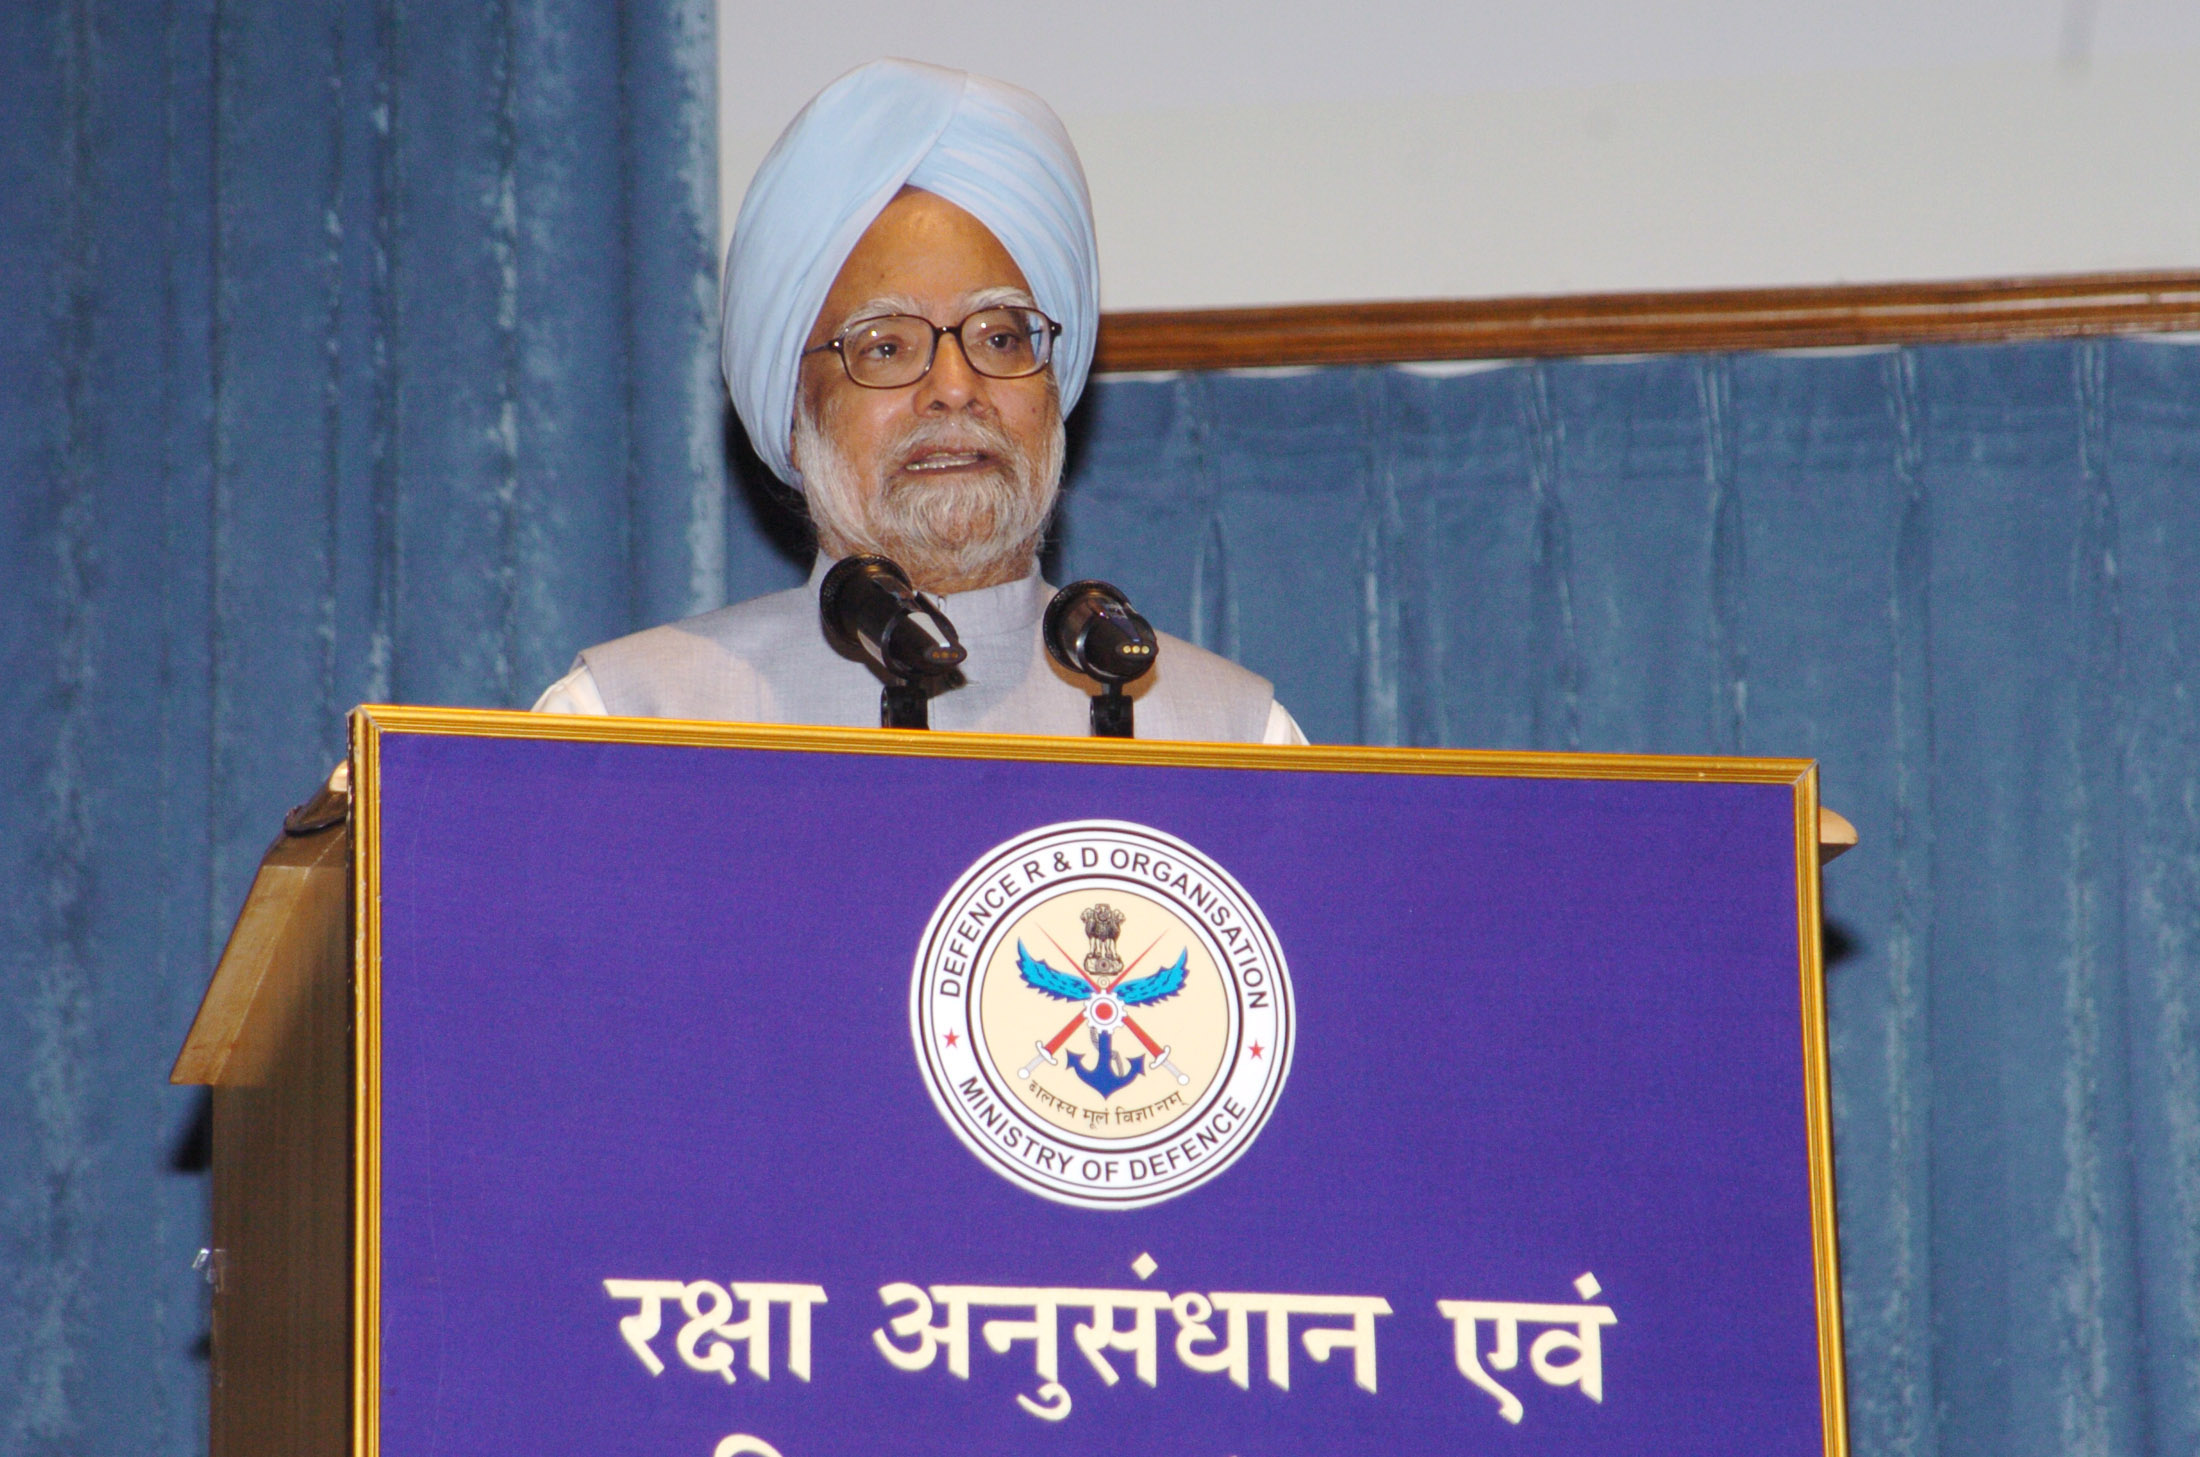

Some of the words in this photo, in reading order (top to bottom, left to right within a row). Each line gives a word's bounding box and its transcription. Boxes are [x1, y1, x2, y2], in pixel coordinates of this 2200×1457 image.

[1022, 841, 1100, 887] R&D
[938, 868, 1027, 999] DEFENCE
[1107, 843, 1271, 1012] ORGANISATION
[954, 1075, 1077, 1178] MINISTRY
[1024, 1075, 1083, 1120] बालस्य
[1080, 1103, 1112, 1134] मूलं
[1079, 1155, 1121, 1183] OF
[1109, 1085, 1197, 1130] विज्ञानम्
[1126, 1092, 1249, 1183] DEFENCE
[591, 1263, 841, 1396] रक्षा
[869, 1245, 1393, 1429] अनुसंधान
[1436, 1269, 1619, 1429] एवं